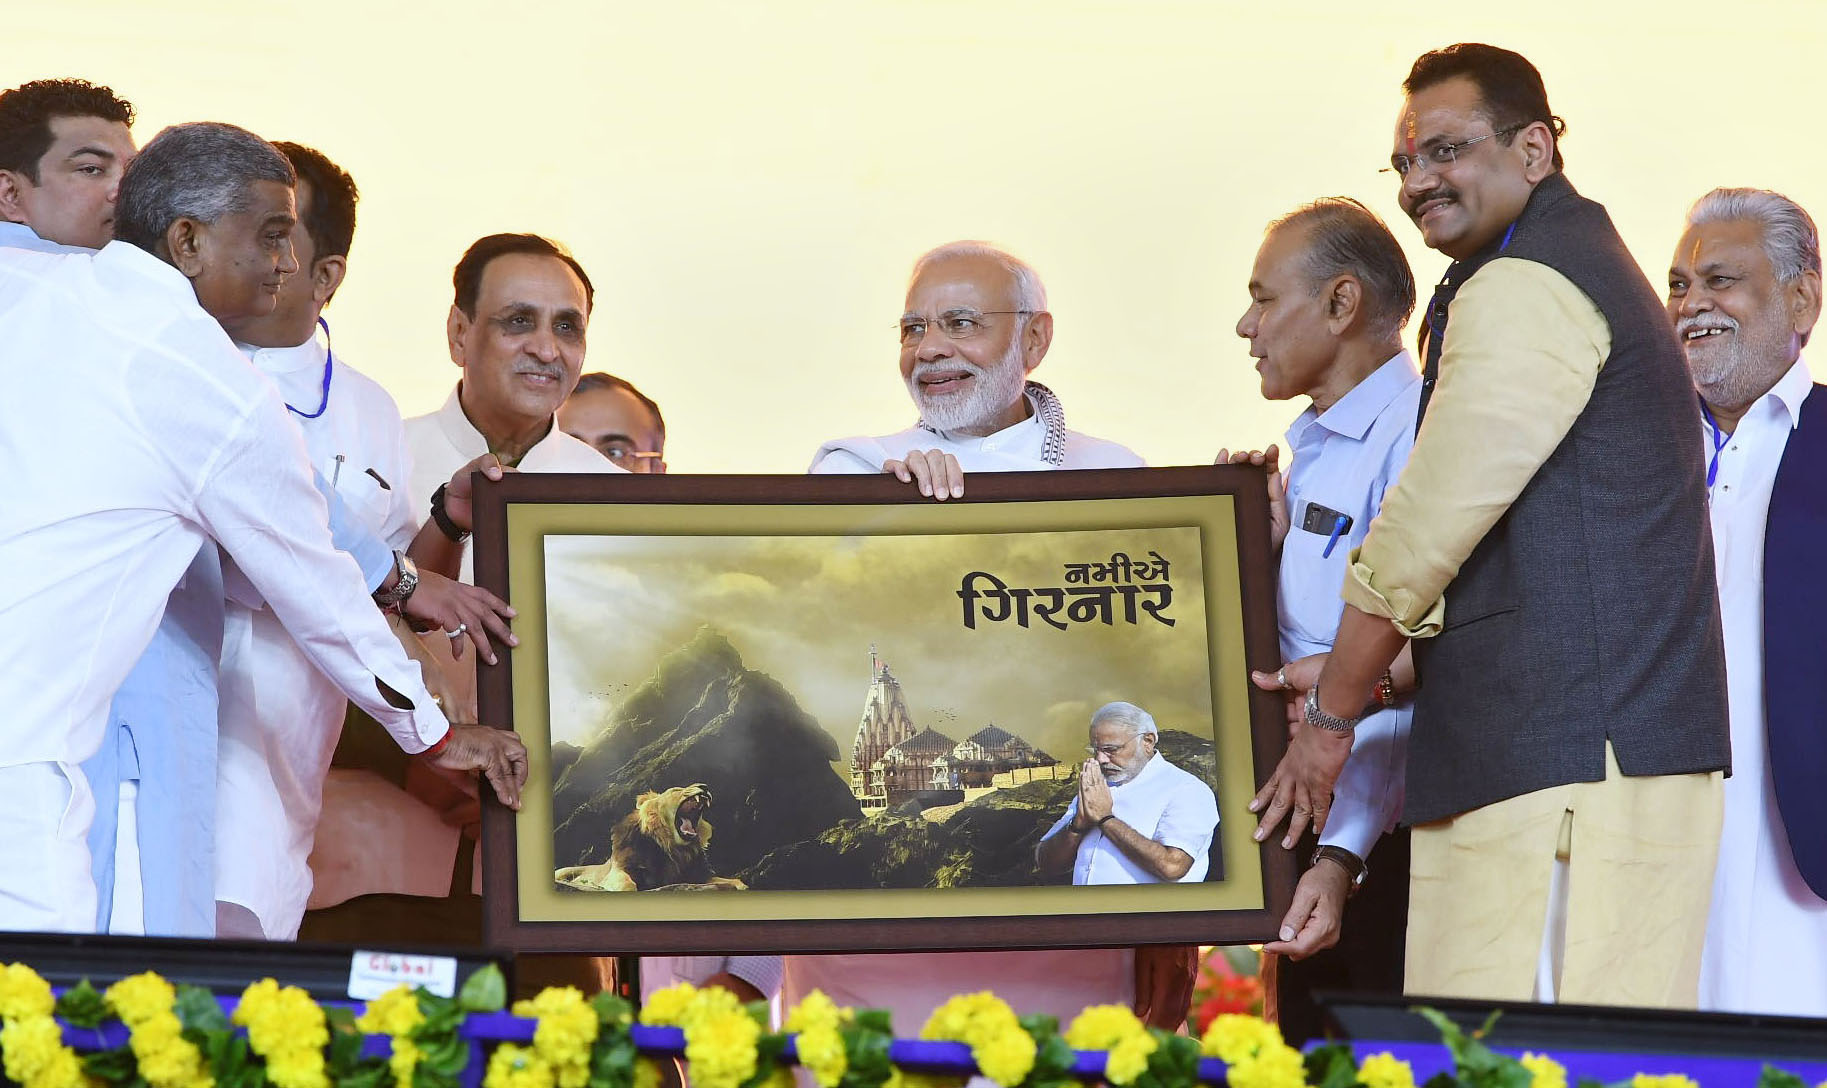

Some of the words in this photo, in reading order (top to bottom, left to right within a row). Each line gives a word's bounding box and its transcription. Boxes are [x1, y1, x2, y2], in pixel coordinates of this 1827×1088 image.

[1057, 545, 1171, 591] નમીએ
[960, 574, 1178, 631] ગિરનાર